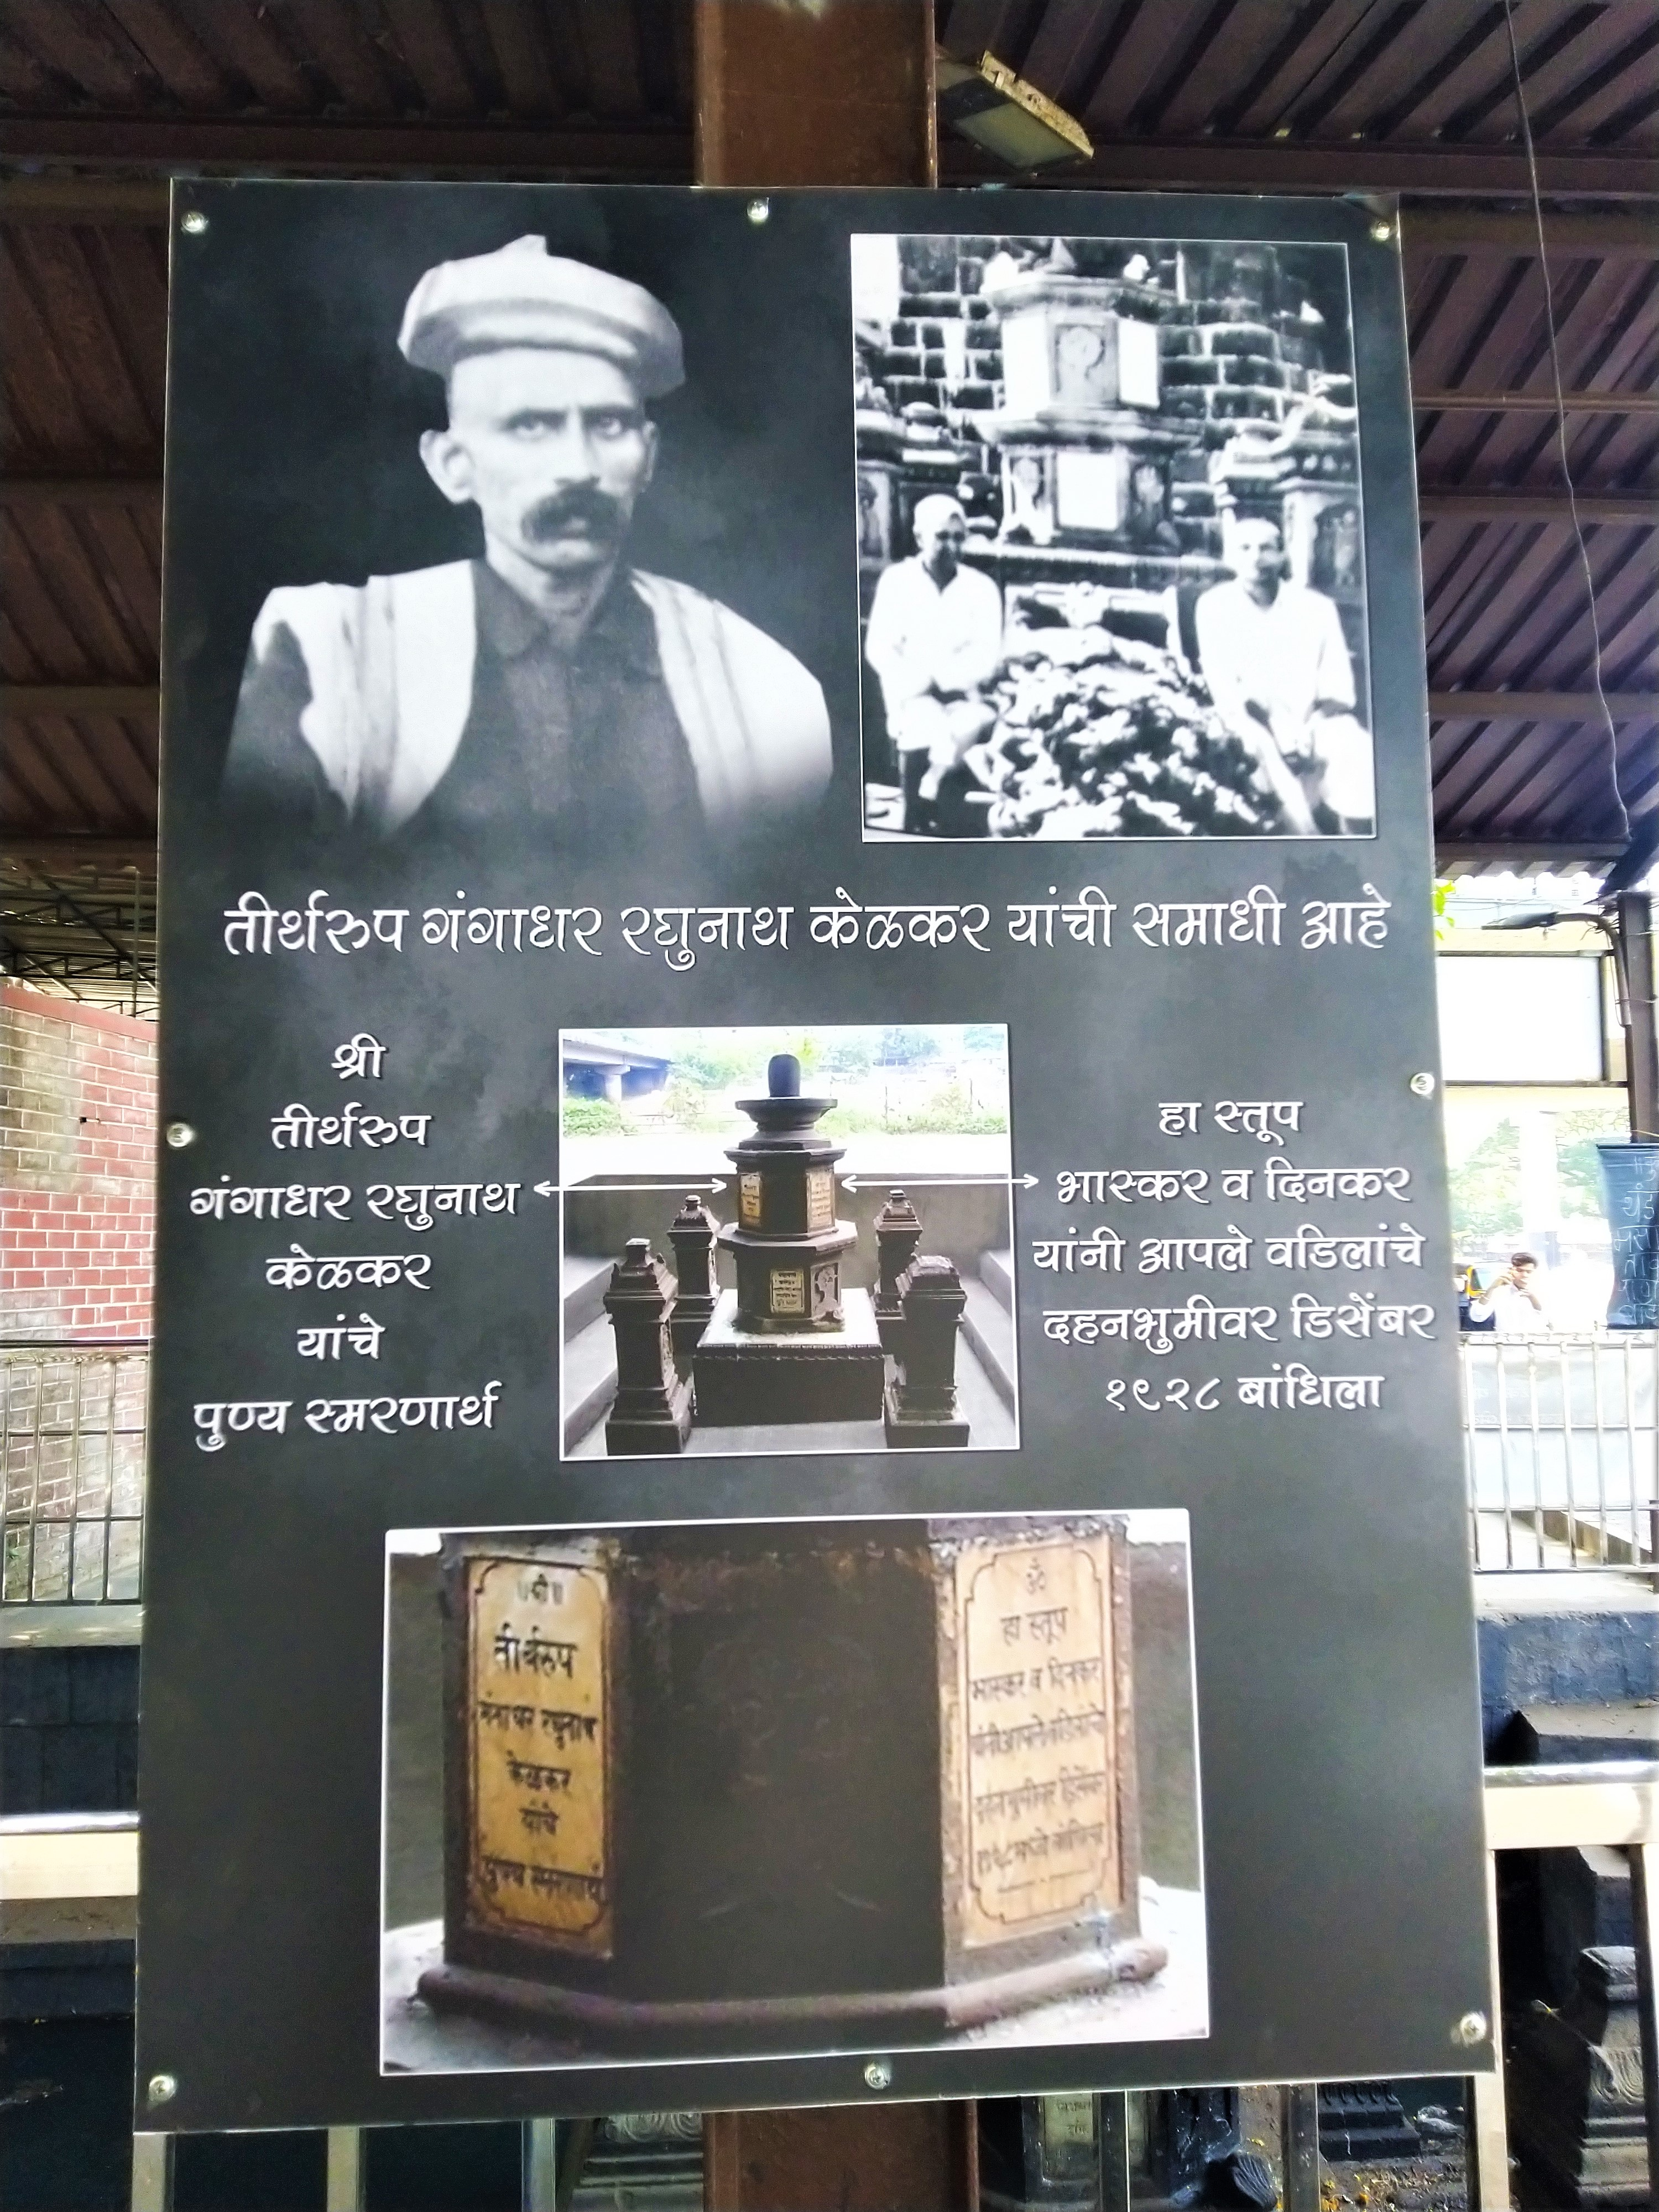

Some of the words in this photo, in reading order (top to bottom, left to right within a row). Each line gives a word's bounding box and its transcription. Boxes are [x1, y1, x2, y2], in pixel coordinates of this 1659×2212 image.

[210, 881, 416, 967] तीर्थरूप
[414, 880, 613, 966] गंगाध२
[615, 899, 804, 985] २घुनाथ
[804, 879, 998, 966] केळक२
[1000, 878, 1120, 959] यांची
[1126, 877, 1291, 961] समाधी
[1294, 872, 1401, 967] आहे
[320, 1026, 388, 1091] श्री
[260, 1093, 443, 1162] तीर्थरुप
[1152, 1097, 1206, 1145] हा
[1210, 1097, 1311, 1151] स्तूप
[186, 1170, 359, 1234] गंगाध२
[360, 1176, 528, 1234] २घुनाथ
[1051, 1158, 1217, 1214] भास्कर
[1219, 1160, 1257, 1210] व
[1258, 1151, 1421, 1209] दिनक२
[259, 1239, 442, 1303] केळक२
[1024, 1219, 1130, 1282] यांनी
[1130, 1220, 1259, 1287] आपले
[1262, 1215, 1438, 1279] वडिलांचे
[290, 1308, 388, 1368] यांचे
[1037, 1285, 1284, 1362] दहनभुमीव२
[1284, 1280, 1446, 1353] डिसेंबर
[185, 1397, 298, 1459] पुण्य
[300, 1378, 507, 1443] स्म२णार्थ
[1094, 1363, 1230, 1422] १९२८
[1233, 1356, 1393, 1422] बांधिला
[488, 1616, 586, 1687] तीर्थरूप
[997, 1612, 1025, 1655] ह्य
[1024, 1601, 1076, 1651] स्तूप
[491, 1743, 584, 1805] केळकर